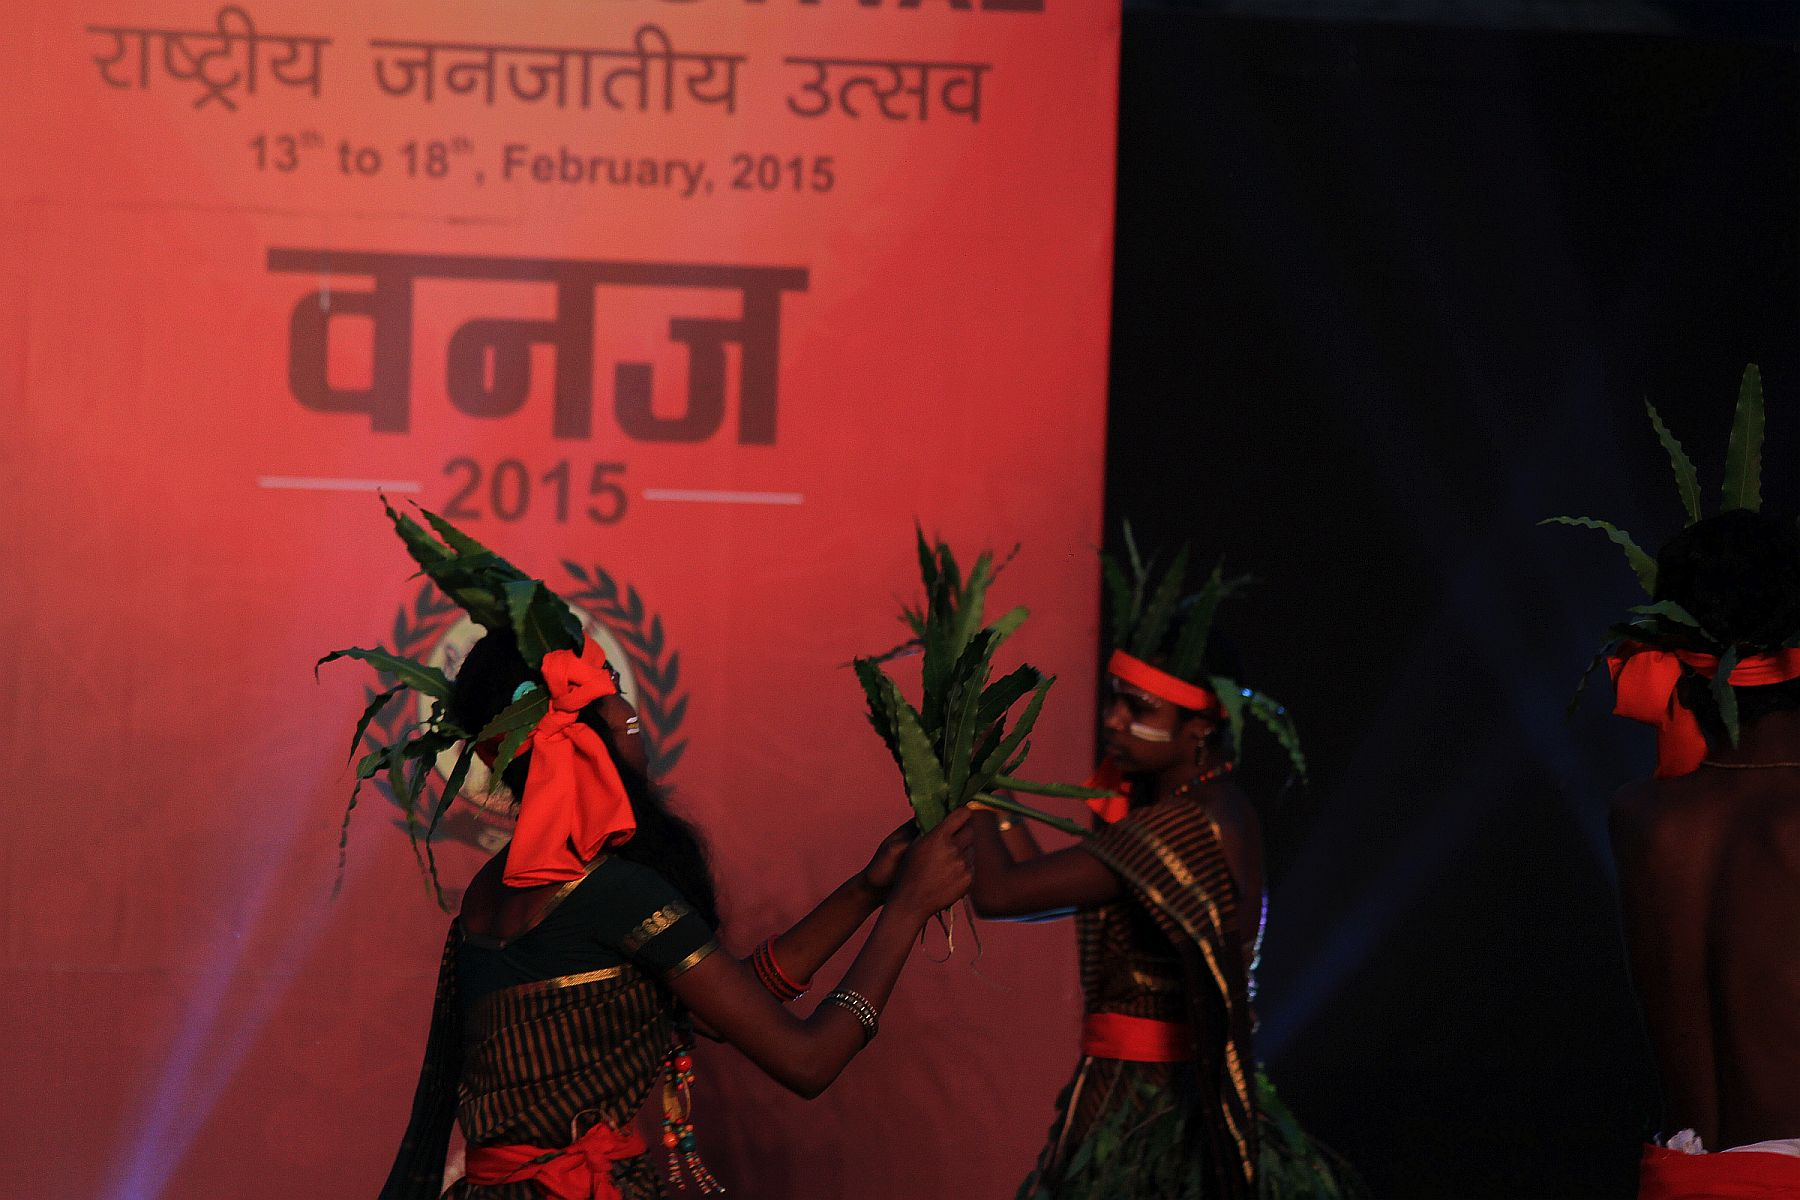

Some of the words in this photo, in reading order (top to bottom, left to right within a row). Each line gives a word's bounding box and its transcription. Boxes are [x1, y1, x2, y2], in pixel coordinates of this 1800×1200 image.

[79, 0, 334, 112] राष्ट्रीय
[371, 15, 750, 120] जनजातीय
[782, 56, 994, 127] उत्सव
[235, 117, 323, 186] 13th
[328, 127, 394, 183] to
[384, 124, 477, 183] 18th
[504, 137, 711, 201] February
[723, 140, 841, 196] 2015
[266, 244, 813, 450] वनज
[436, 447, 632, 535] 2015